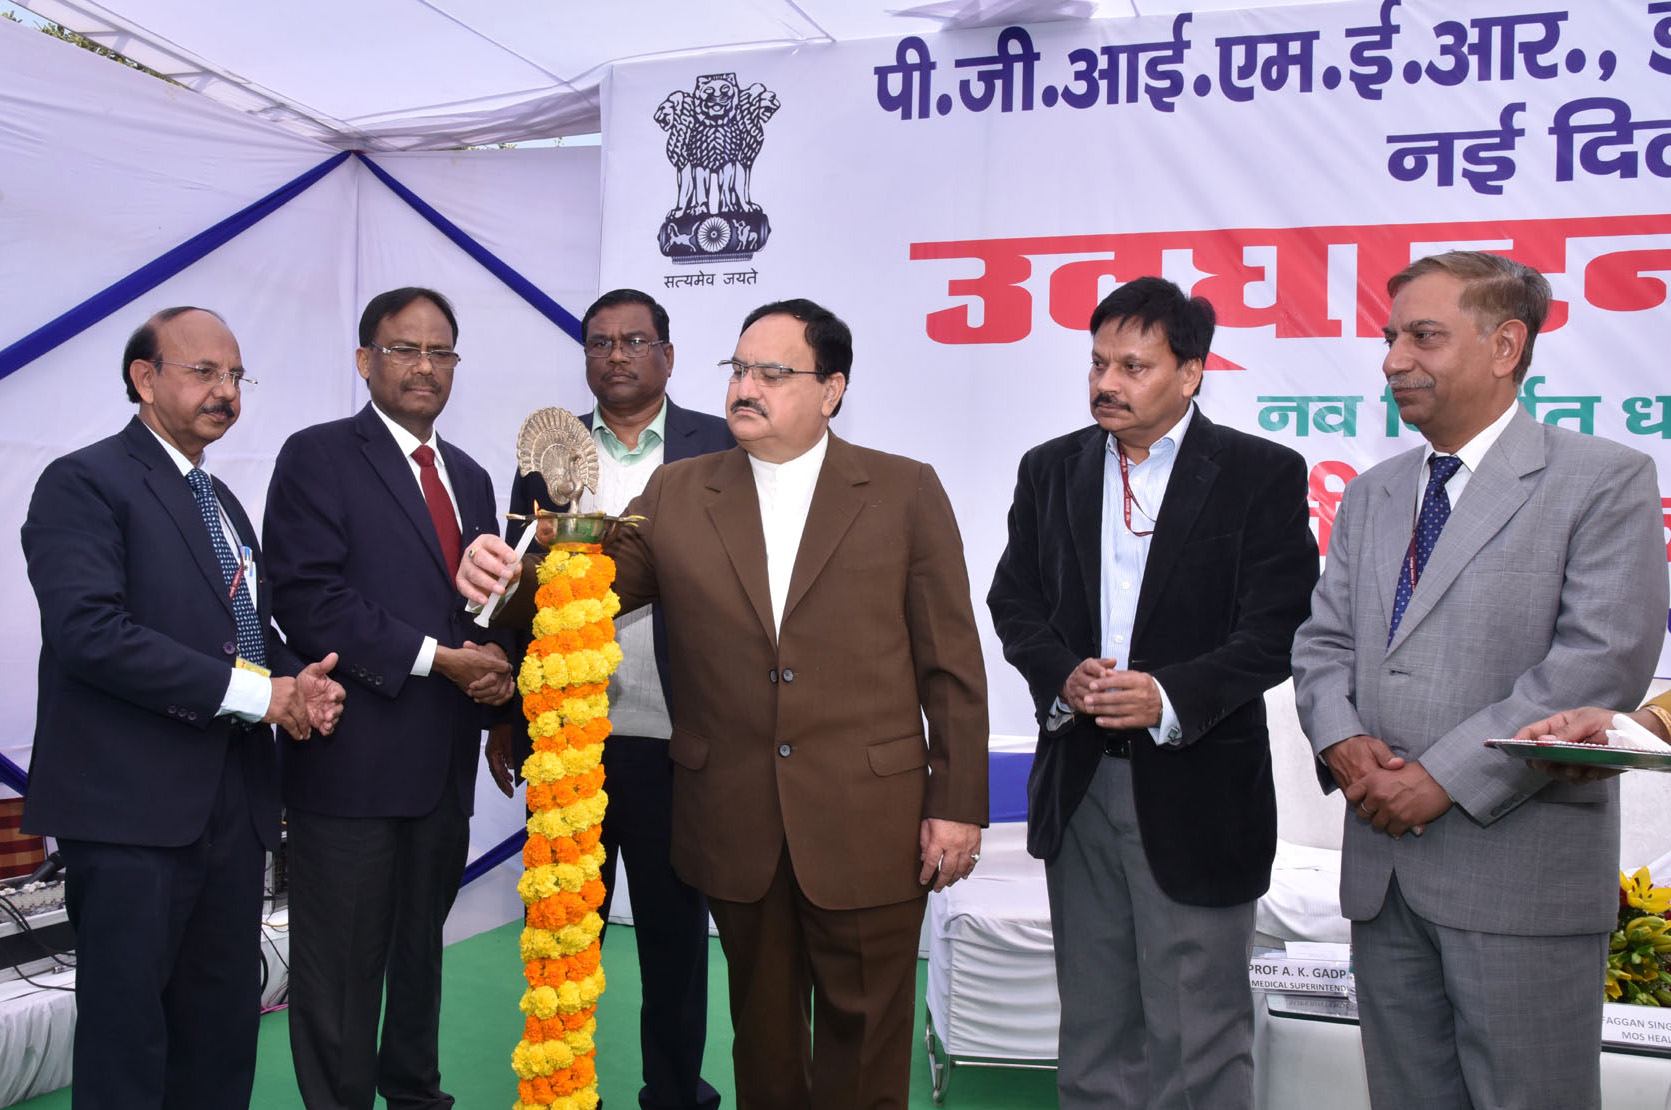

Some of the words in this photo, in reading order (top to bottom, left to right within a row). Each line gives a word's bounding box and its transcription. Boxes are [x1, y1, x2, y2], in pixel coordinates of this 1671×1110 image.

[867, 23, 1066, 128] पी॰जी॰
[1058, 1, 1596, 120] आई॰एम॰ई॰आर॰
[1379, 94, 1533, 200] नई
[1540, 90, 1671, 193] दि
[663, 262, 719, 291] सत्यमेव
[720, 262, 762, 289] जयते
[911, 211, 1671, 378] उद्घाटन
[1250, 389, 1362, 440] नव
[1245, 956, 1281, 983] PROF
[1245, 975, 1290, 993] MEDICAL
[1276, 959, 1349, 983] A.K.GADP
[1284, 975, 1351, 997] SUPERINTEND